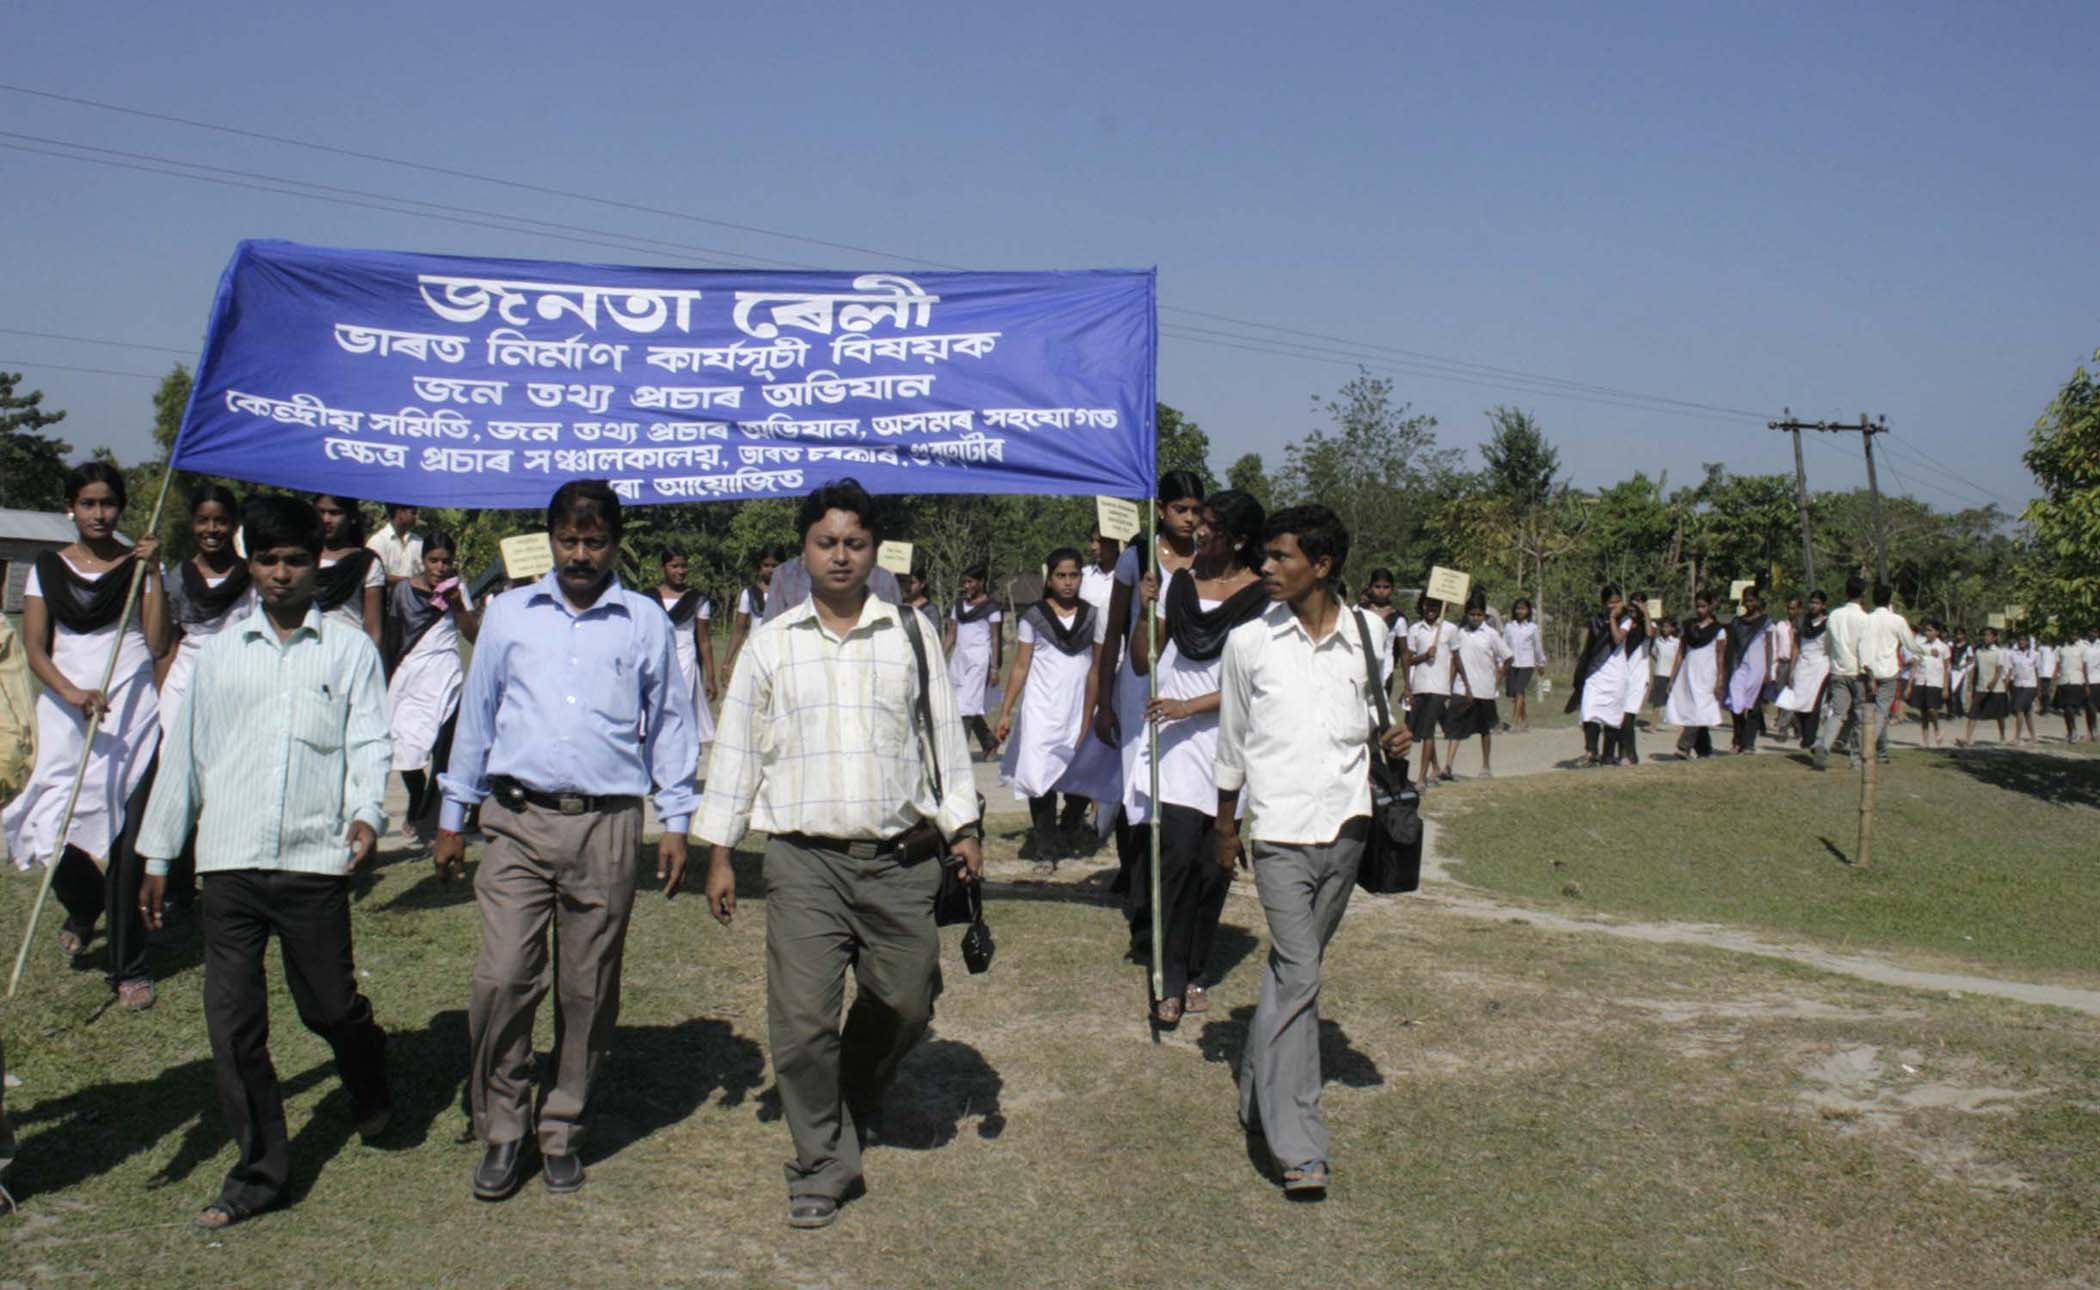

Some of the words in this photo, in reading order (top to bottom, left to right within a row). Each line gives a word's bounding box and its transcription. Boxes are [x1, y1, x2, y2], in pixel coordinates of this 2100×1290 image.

[412, 268, 709, 337] জনতা
[727, 257, 947, 345] ৰেলী
[319, 318, 473, 370] ভাৰত
[475, 317, 636, 374] নির্মাণ
[637, 327, 821, 382] কাৰ্যসূচী
[819, 322, 1007, 370] বিষয়ক
[219, 382, 376, 437] কেন্দ্ৰীয়
[361, 402, 483, 445] সমিতি
[404, 366, 509, 414] জন
[482, 412, 565, 447] জন
[521, 369, 617, 418] তথ্য
[570, 415, 643, 447] তথ্য
[625, 377, 747, 419] প্ৰচাৰ
[643, 413, 737, 445] প্ৰচাৰ
[734, 404, 863, 445] অভিযান,
[759, 363, 943, 413] অভিযান
[869, 403, 979, 442] অসমৰ
[979, 401, 1125, 434] সহযোগত
[319, 433, 416, 473] ক্ষেত্ৰ
[415, 441, 516, 478] প্ৰচাৰ
[518, 442, 728, 478] সঞ্চালকালয়
[649, 453, 814, 503] আয়োজিত
[732, 437, 808, 469] ভাৰত
[801, 438, 905, 469] চৰকাৰ